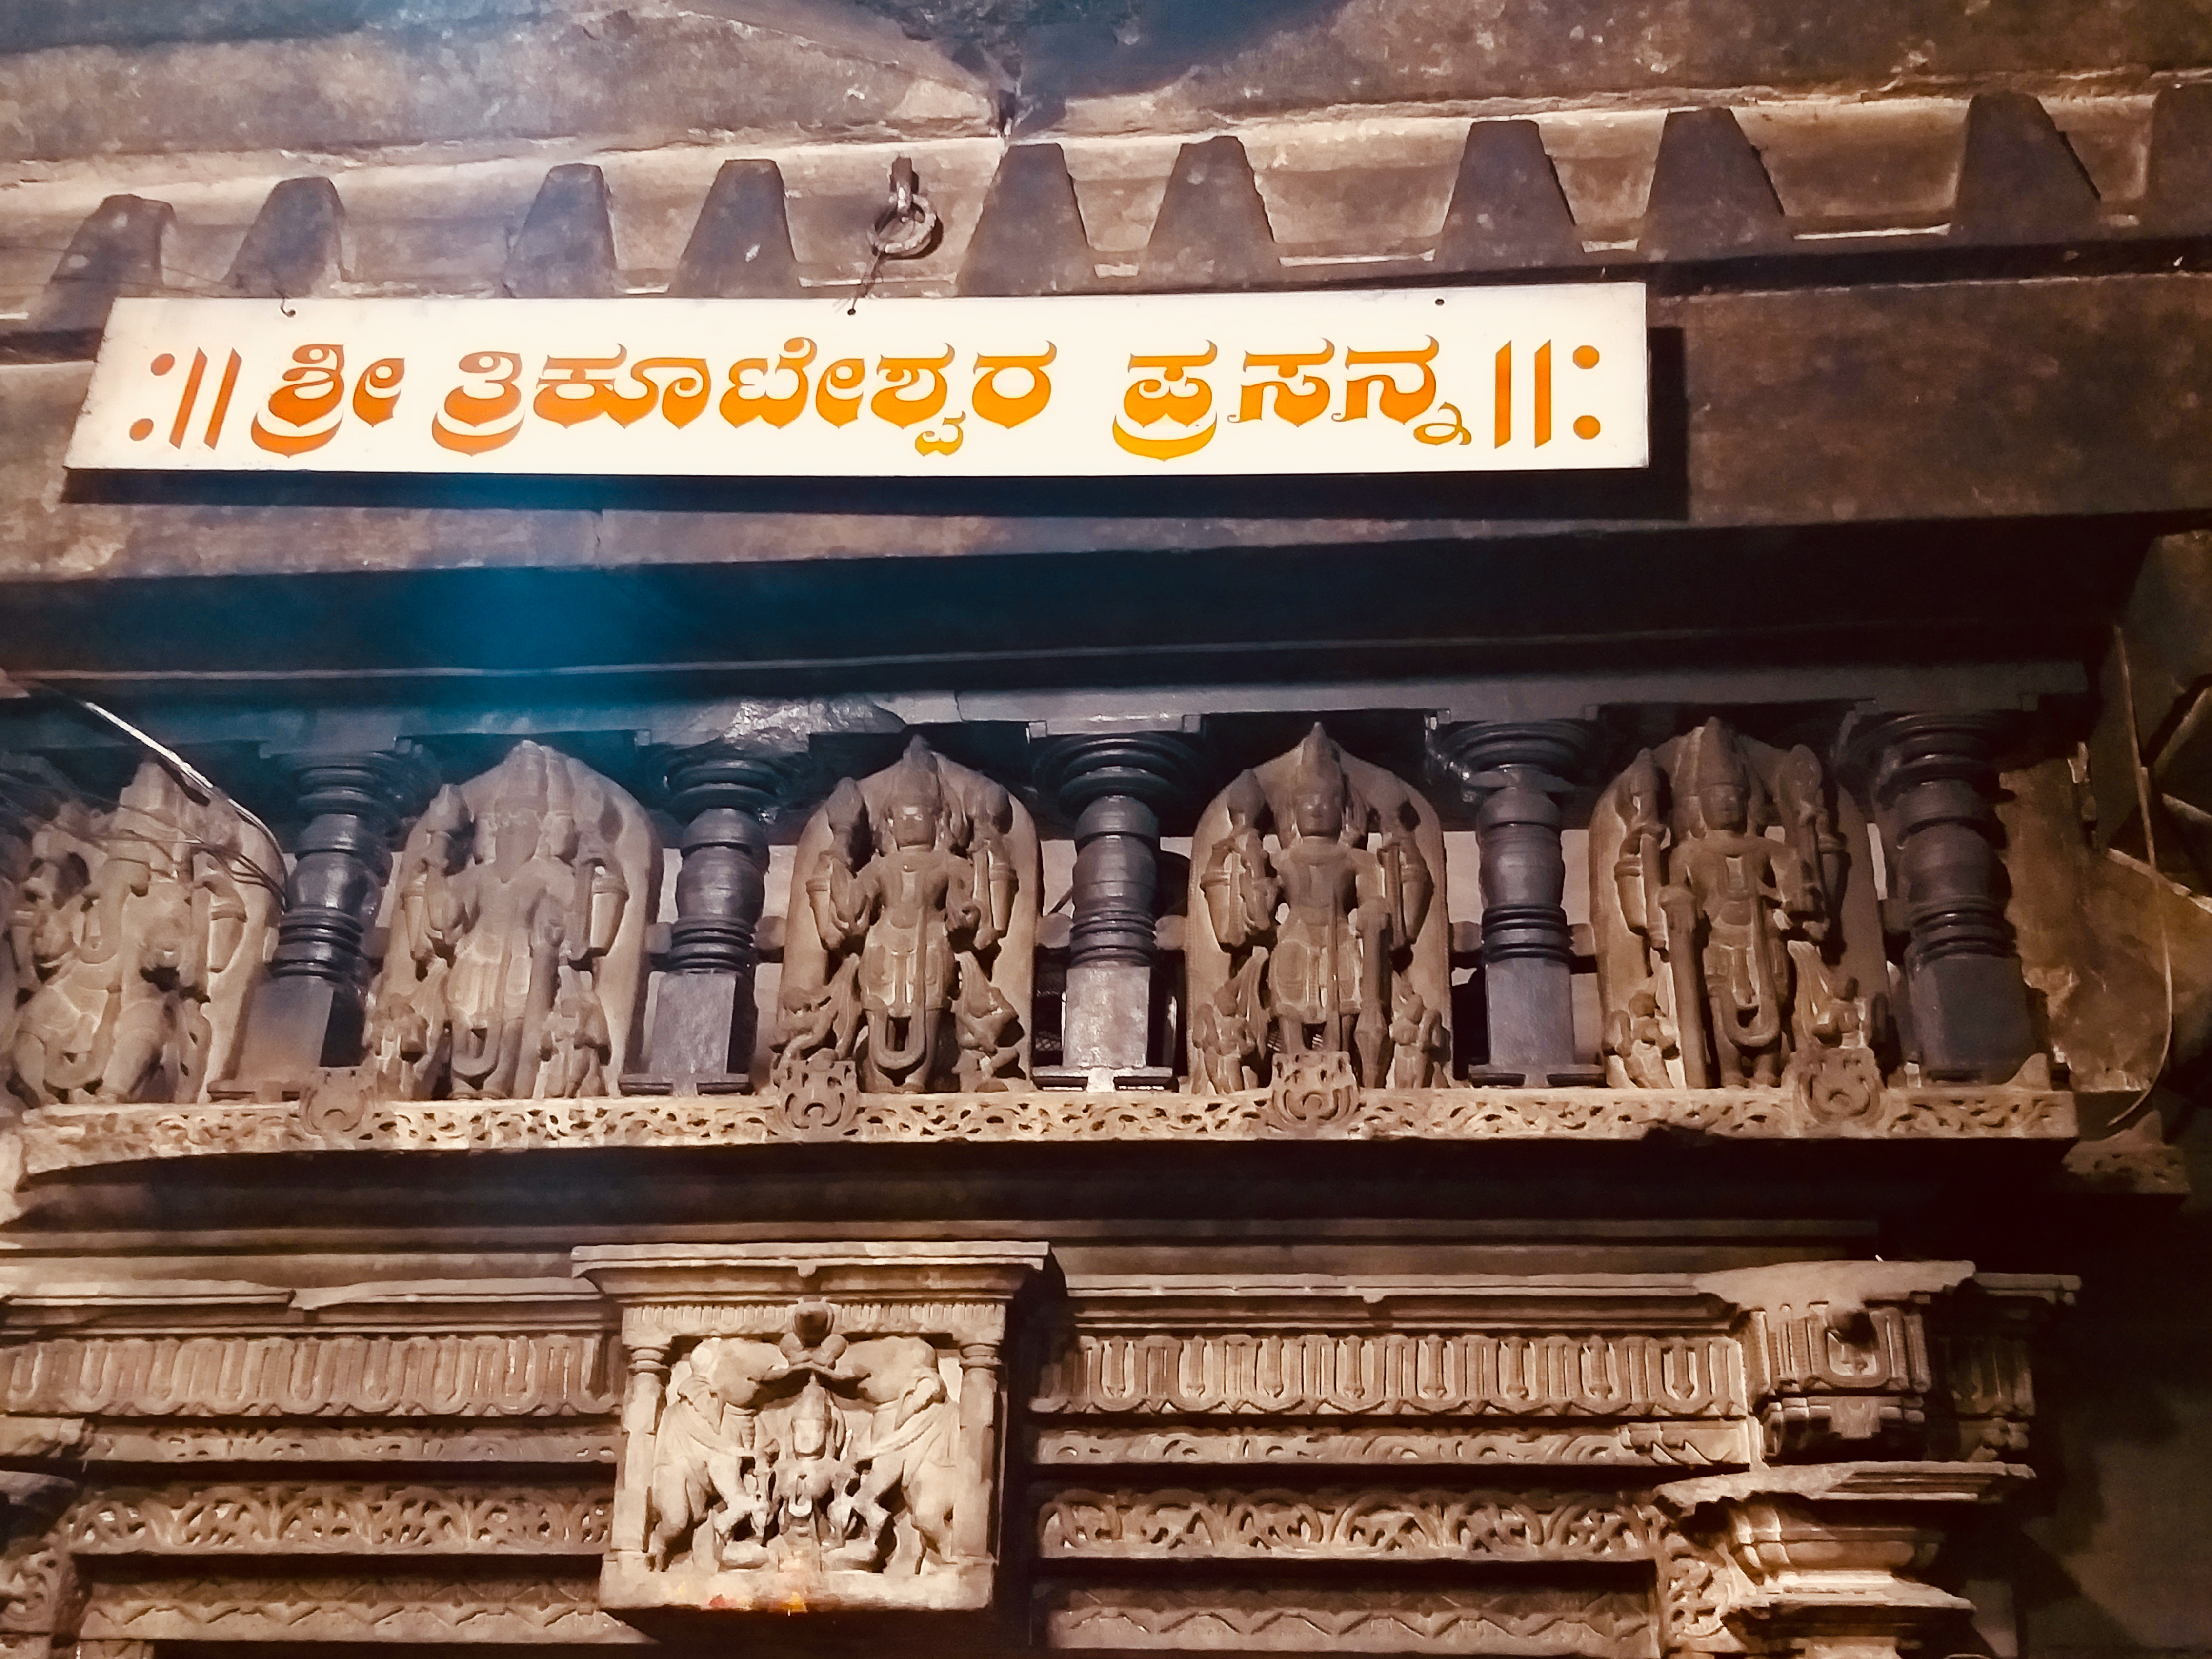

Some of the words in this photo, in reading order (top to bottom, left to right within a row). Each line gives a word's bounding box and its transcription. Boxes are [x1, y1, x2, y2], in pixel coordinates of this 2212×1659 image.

[242, 338, 416, 465] ಶ್ರೀ
[425, 330, 1062, 463] ತ್ರಿಕೂಬೇಶ್ವರ
[1106, 331, 1474, 469] ಪ್ರಸನ್ನ